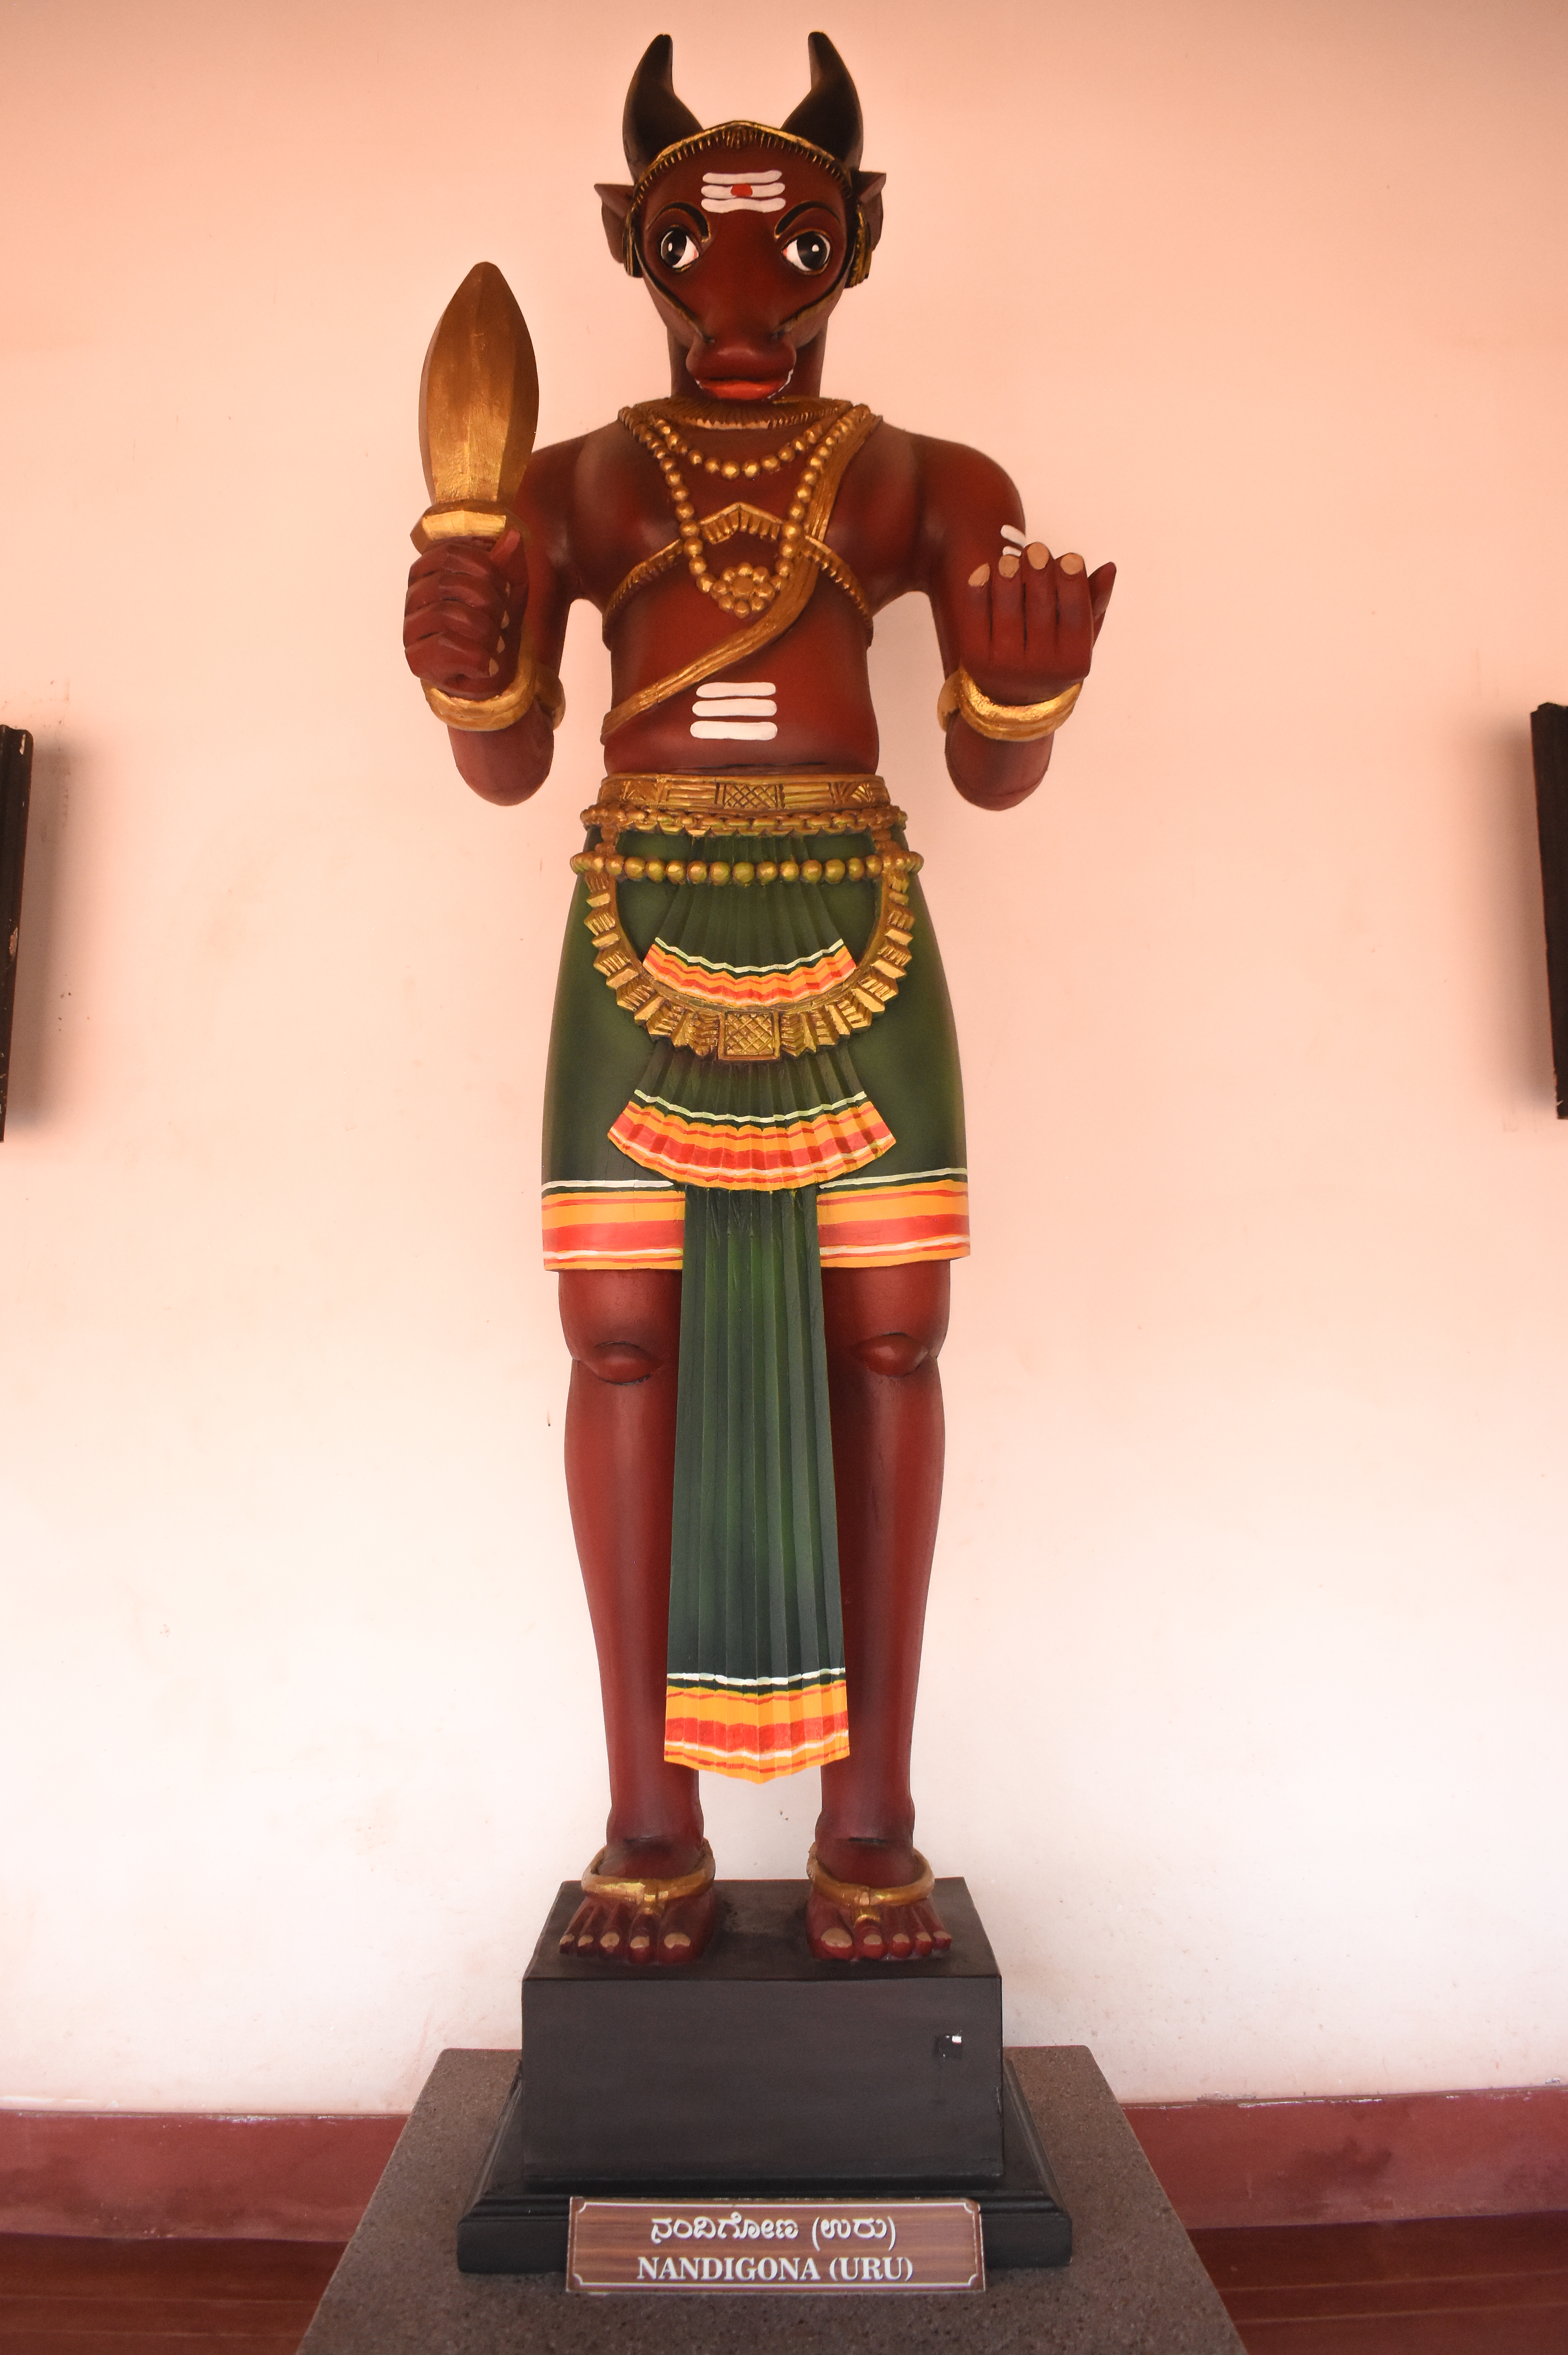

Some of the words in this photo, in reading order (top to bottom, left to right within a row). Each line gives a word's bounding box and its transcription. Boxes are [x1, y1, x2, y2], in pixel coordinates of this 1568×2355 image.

[642, 2207, 800, 2249] ನಂದಿಗೋಣ
[814, 2214, 893, 2244] ಉರು
[636, 2254, 821, 2283] NANDIGONA
[838, 2252, 908, 2286] URU